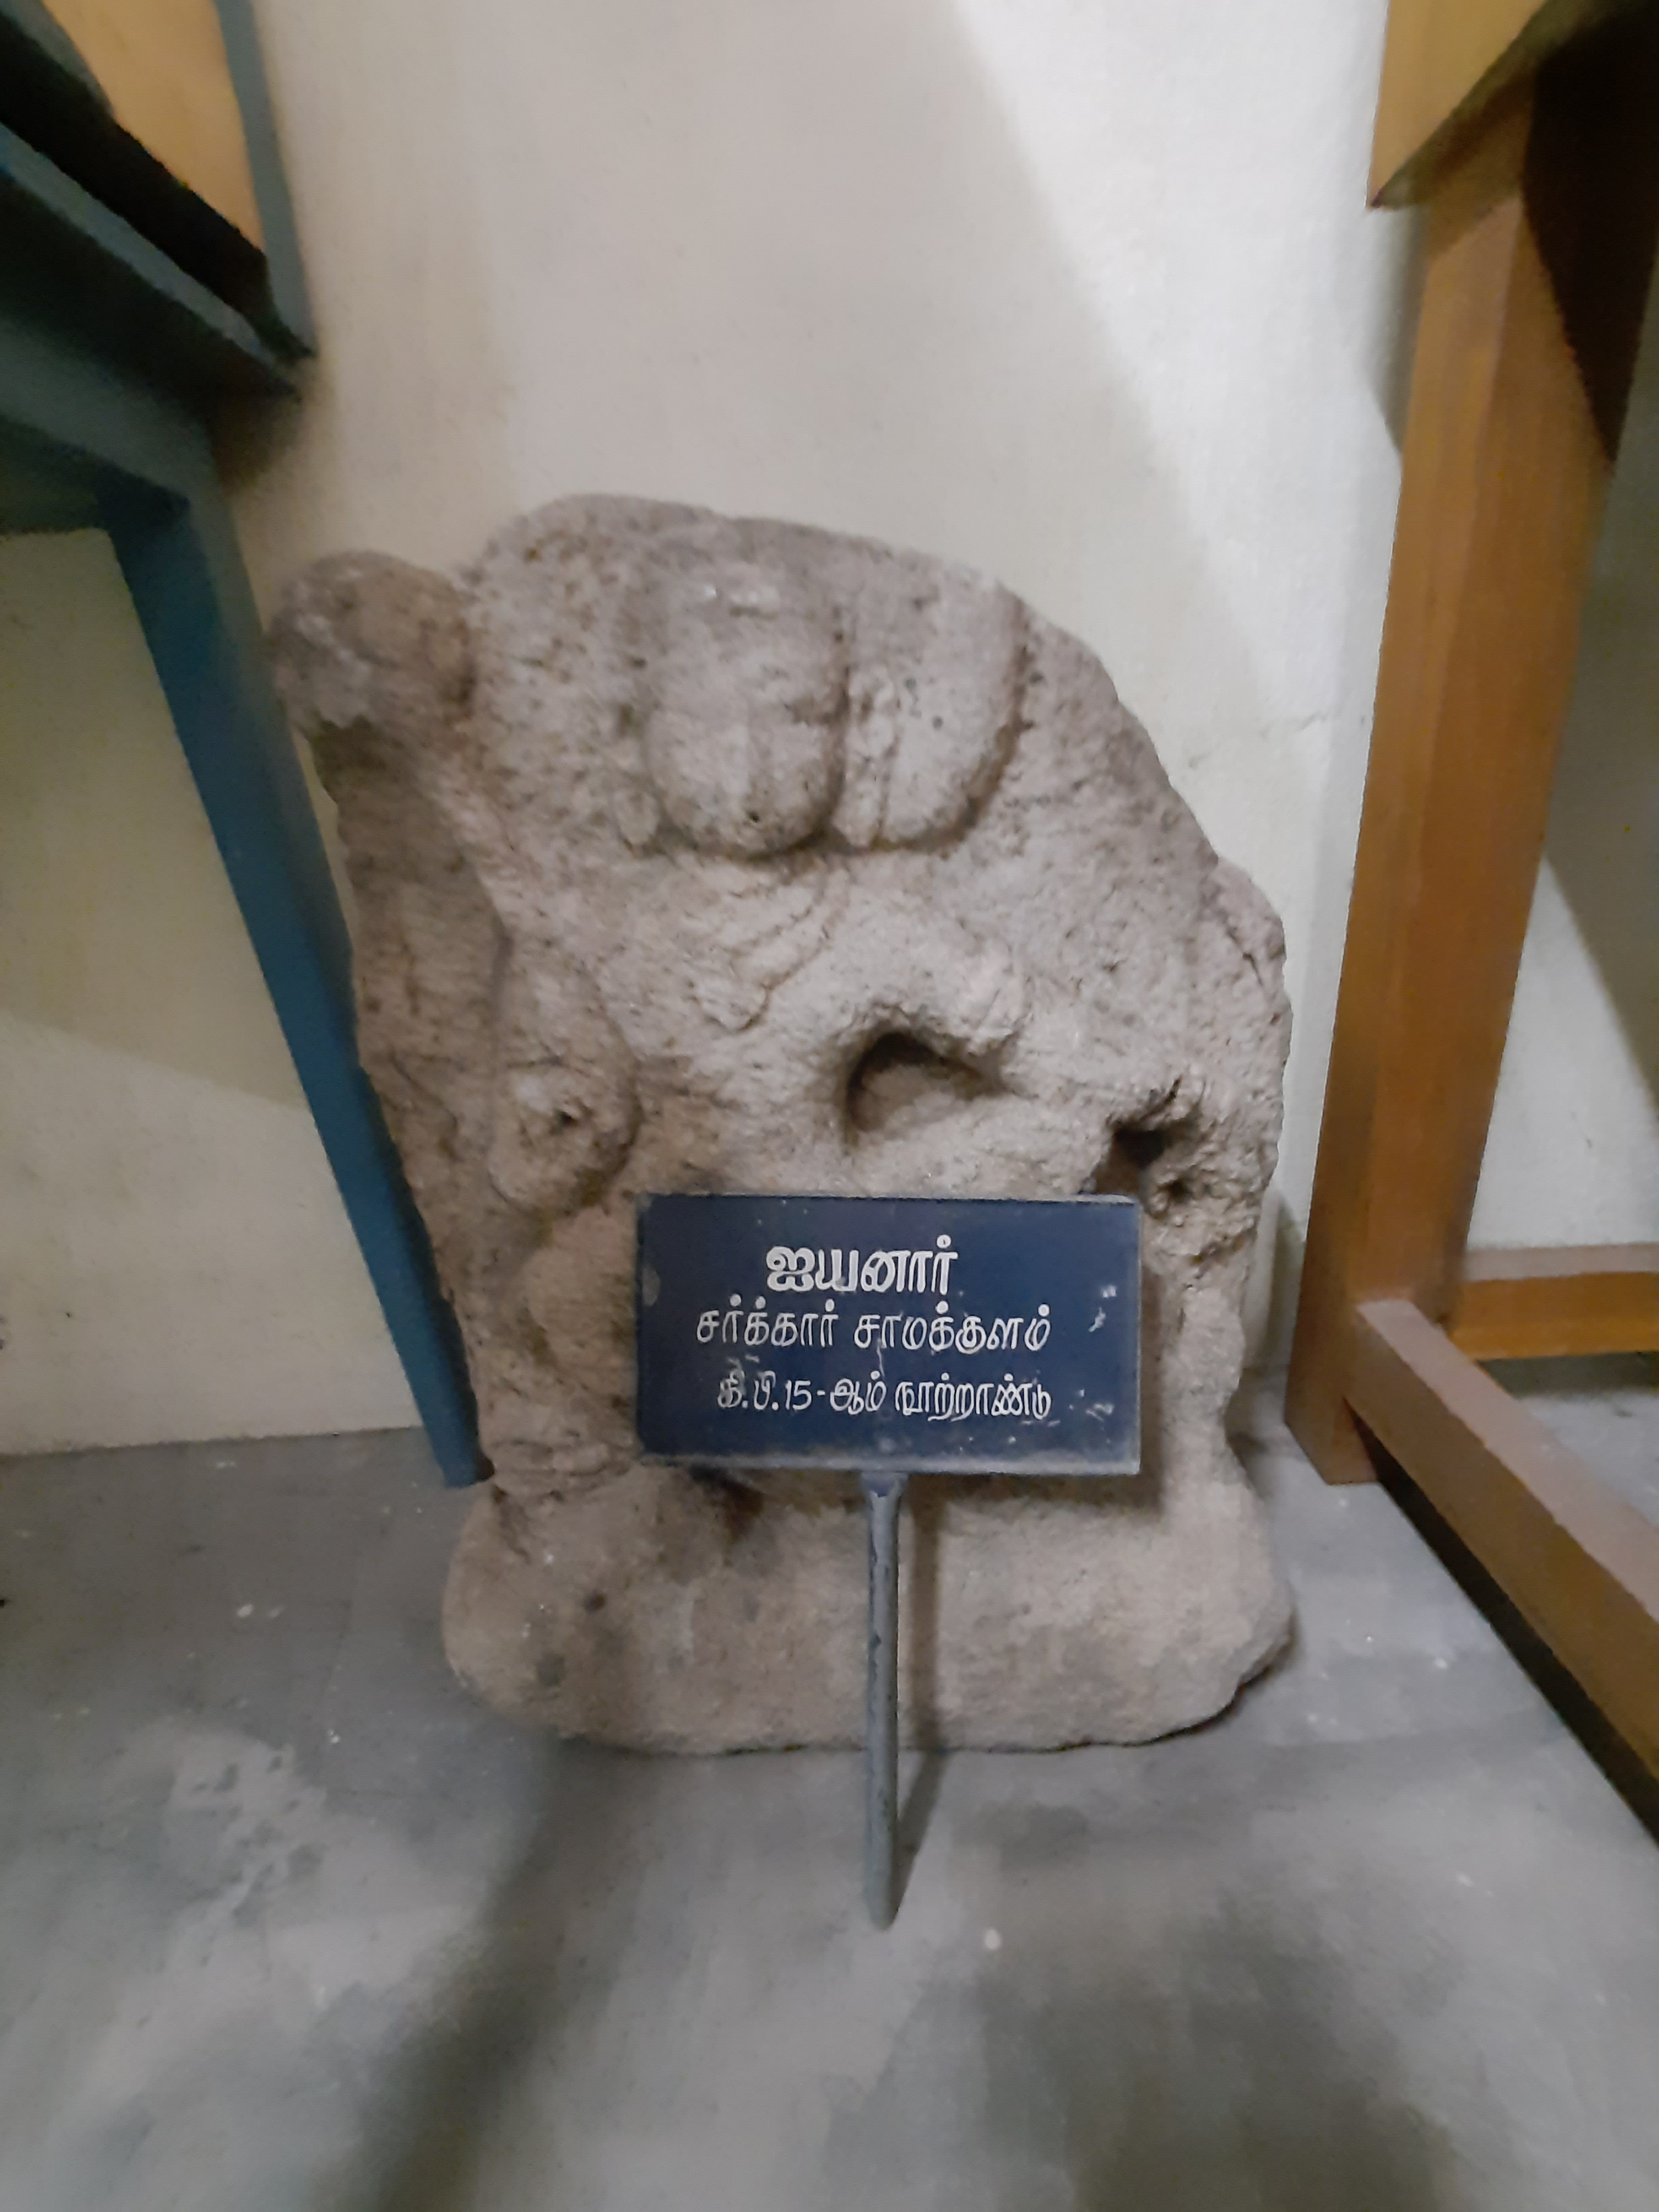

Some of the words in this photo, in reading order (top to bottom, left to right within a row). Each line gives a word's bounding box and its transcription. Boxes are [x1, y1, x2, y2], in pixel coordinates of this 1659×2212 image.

[759, 1230, 965, 1298] ஐயனாா்
[686, 1288, 843, 1351] சா்க்காா்
[848, 1298, 1055, 1361] சாமக்குளம்
[712, 1365, 893, 1418] கி.பி.15-ஆம்
[890, 1370, 1057, 1422] நூற்றாண்டு